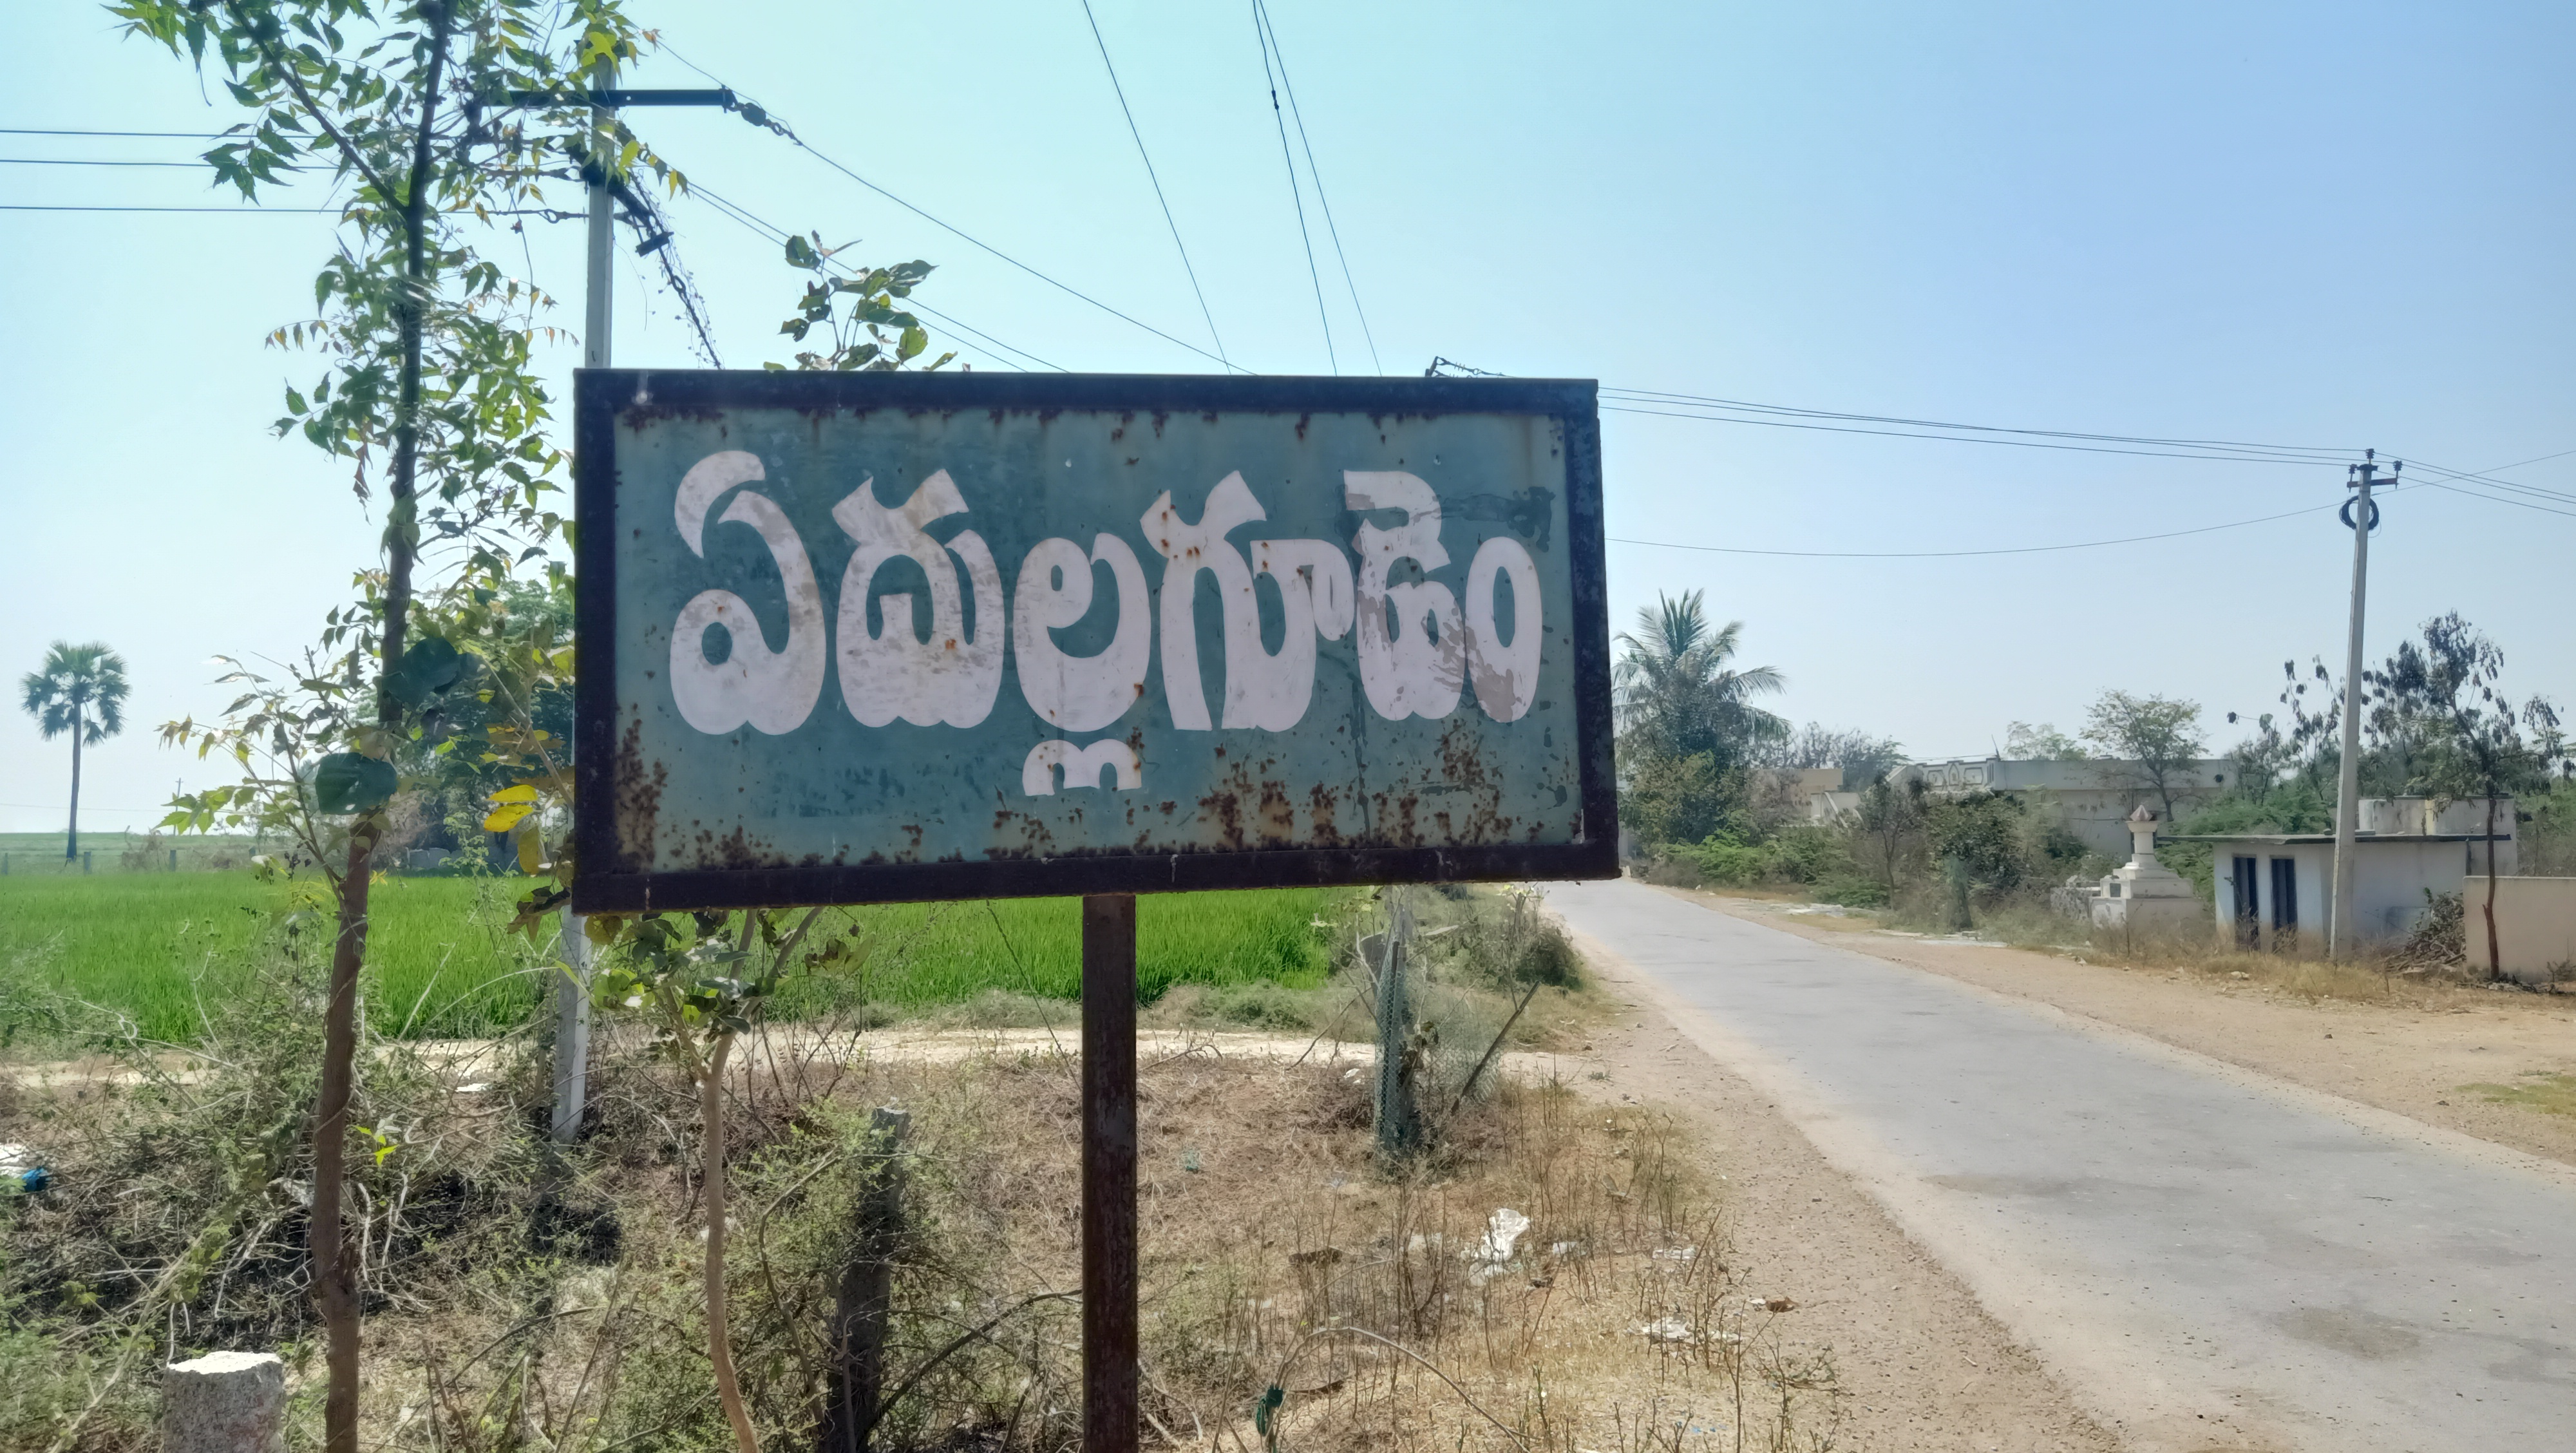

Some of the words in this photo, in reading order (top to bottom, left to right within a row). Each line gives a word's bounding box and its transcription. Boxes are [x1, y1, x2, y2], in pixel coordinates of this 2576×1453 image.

[656, 435, 1551, 805] ఏదుల్లగూడెం